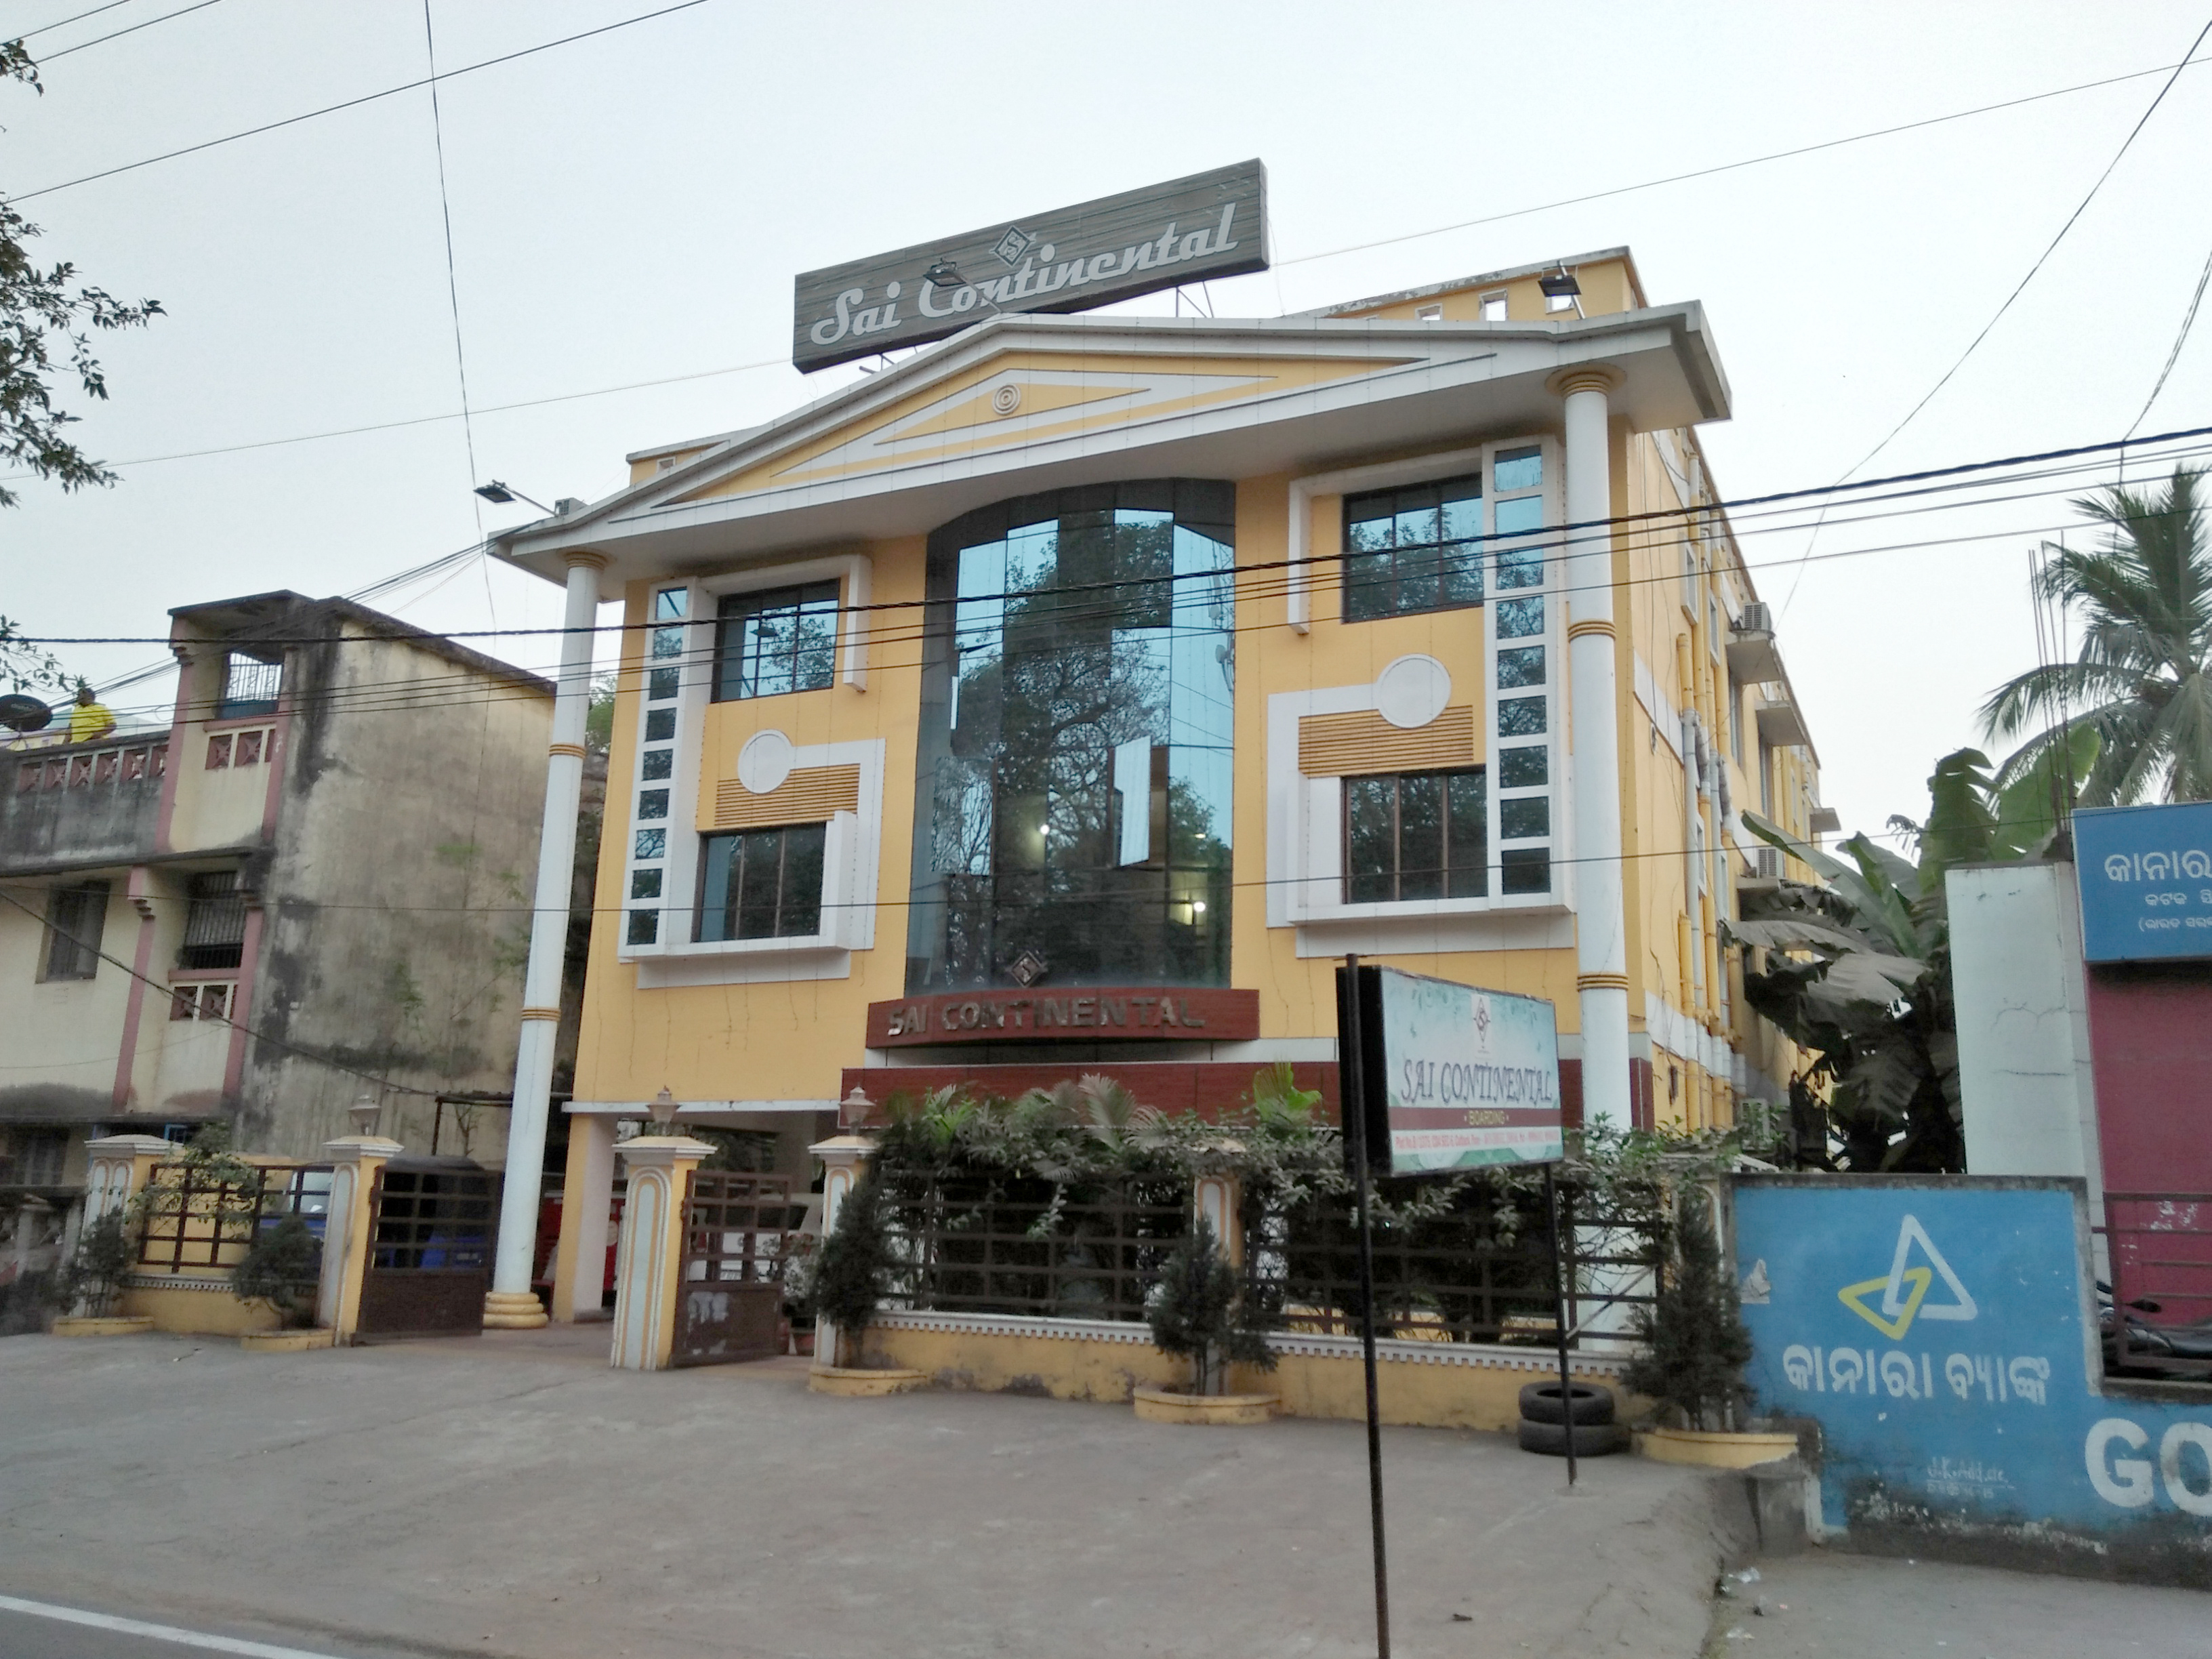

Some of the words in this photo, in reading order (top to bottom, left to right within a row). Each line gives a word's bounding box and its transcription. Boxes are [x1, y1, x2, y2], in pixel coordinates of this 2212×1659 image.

[915, 201, 1244, 323] Continental
[812, 277, 907, 352] Sai
[2103, 845, 2212, 893] କାନାର
[2141, 911, 2186, 935] ଭାରତ
[2141, 885, 2190, 909] କଟକ
[882, 998, 934, 1042] SAI
[937, 988, 1212, 1038] CONTINENTAL
[1395, 1051, 1440, 1107] SAI
[1437, 1058, 1556, 1113] CONTINENTAL
[1772, 1338, 1940, 1401] କାନାରା
[1938, 1343, 2056, 1416] ବ୍ୟାଙ୍କ